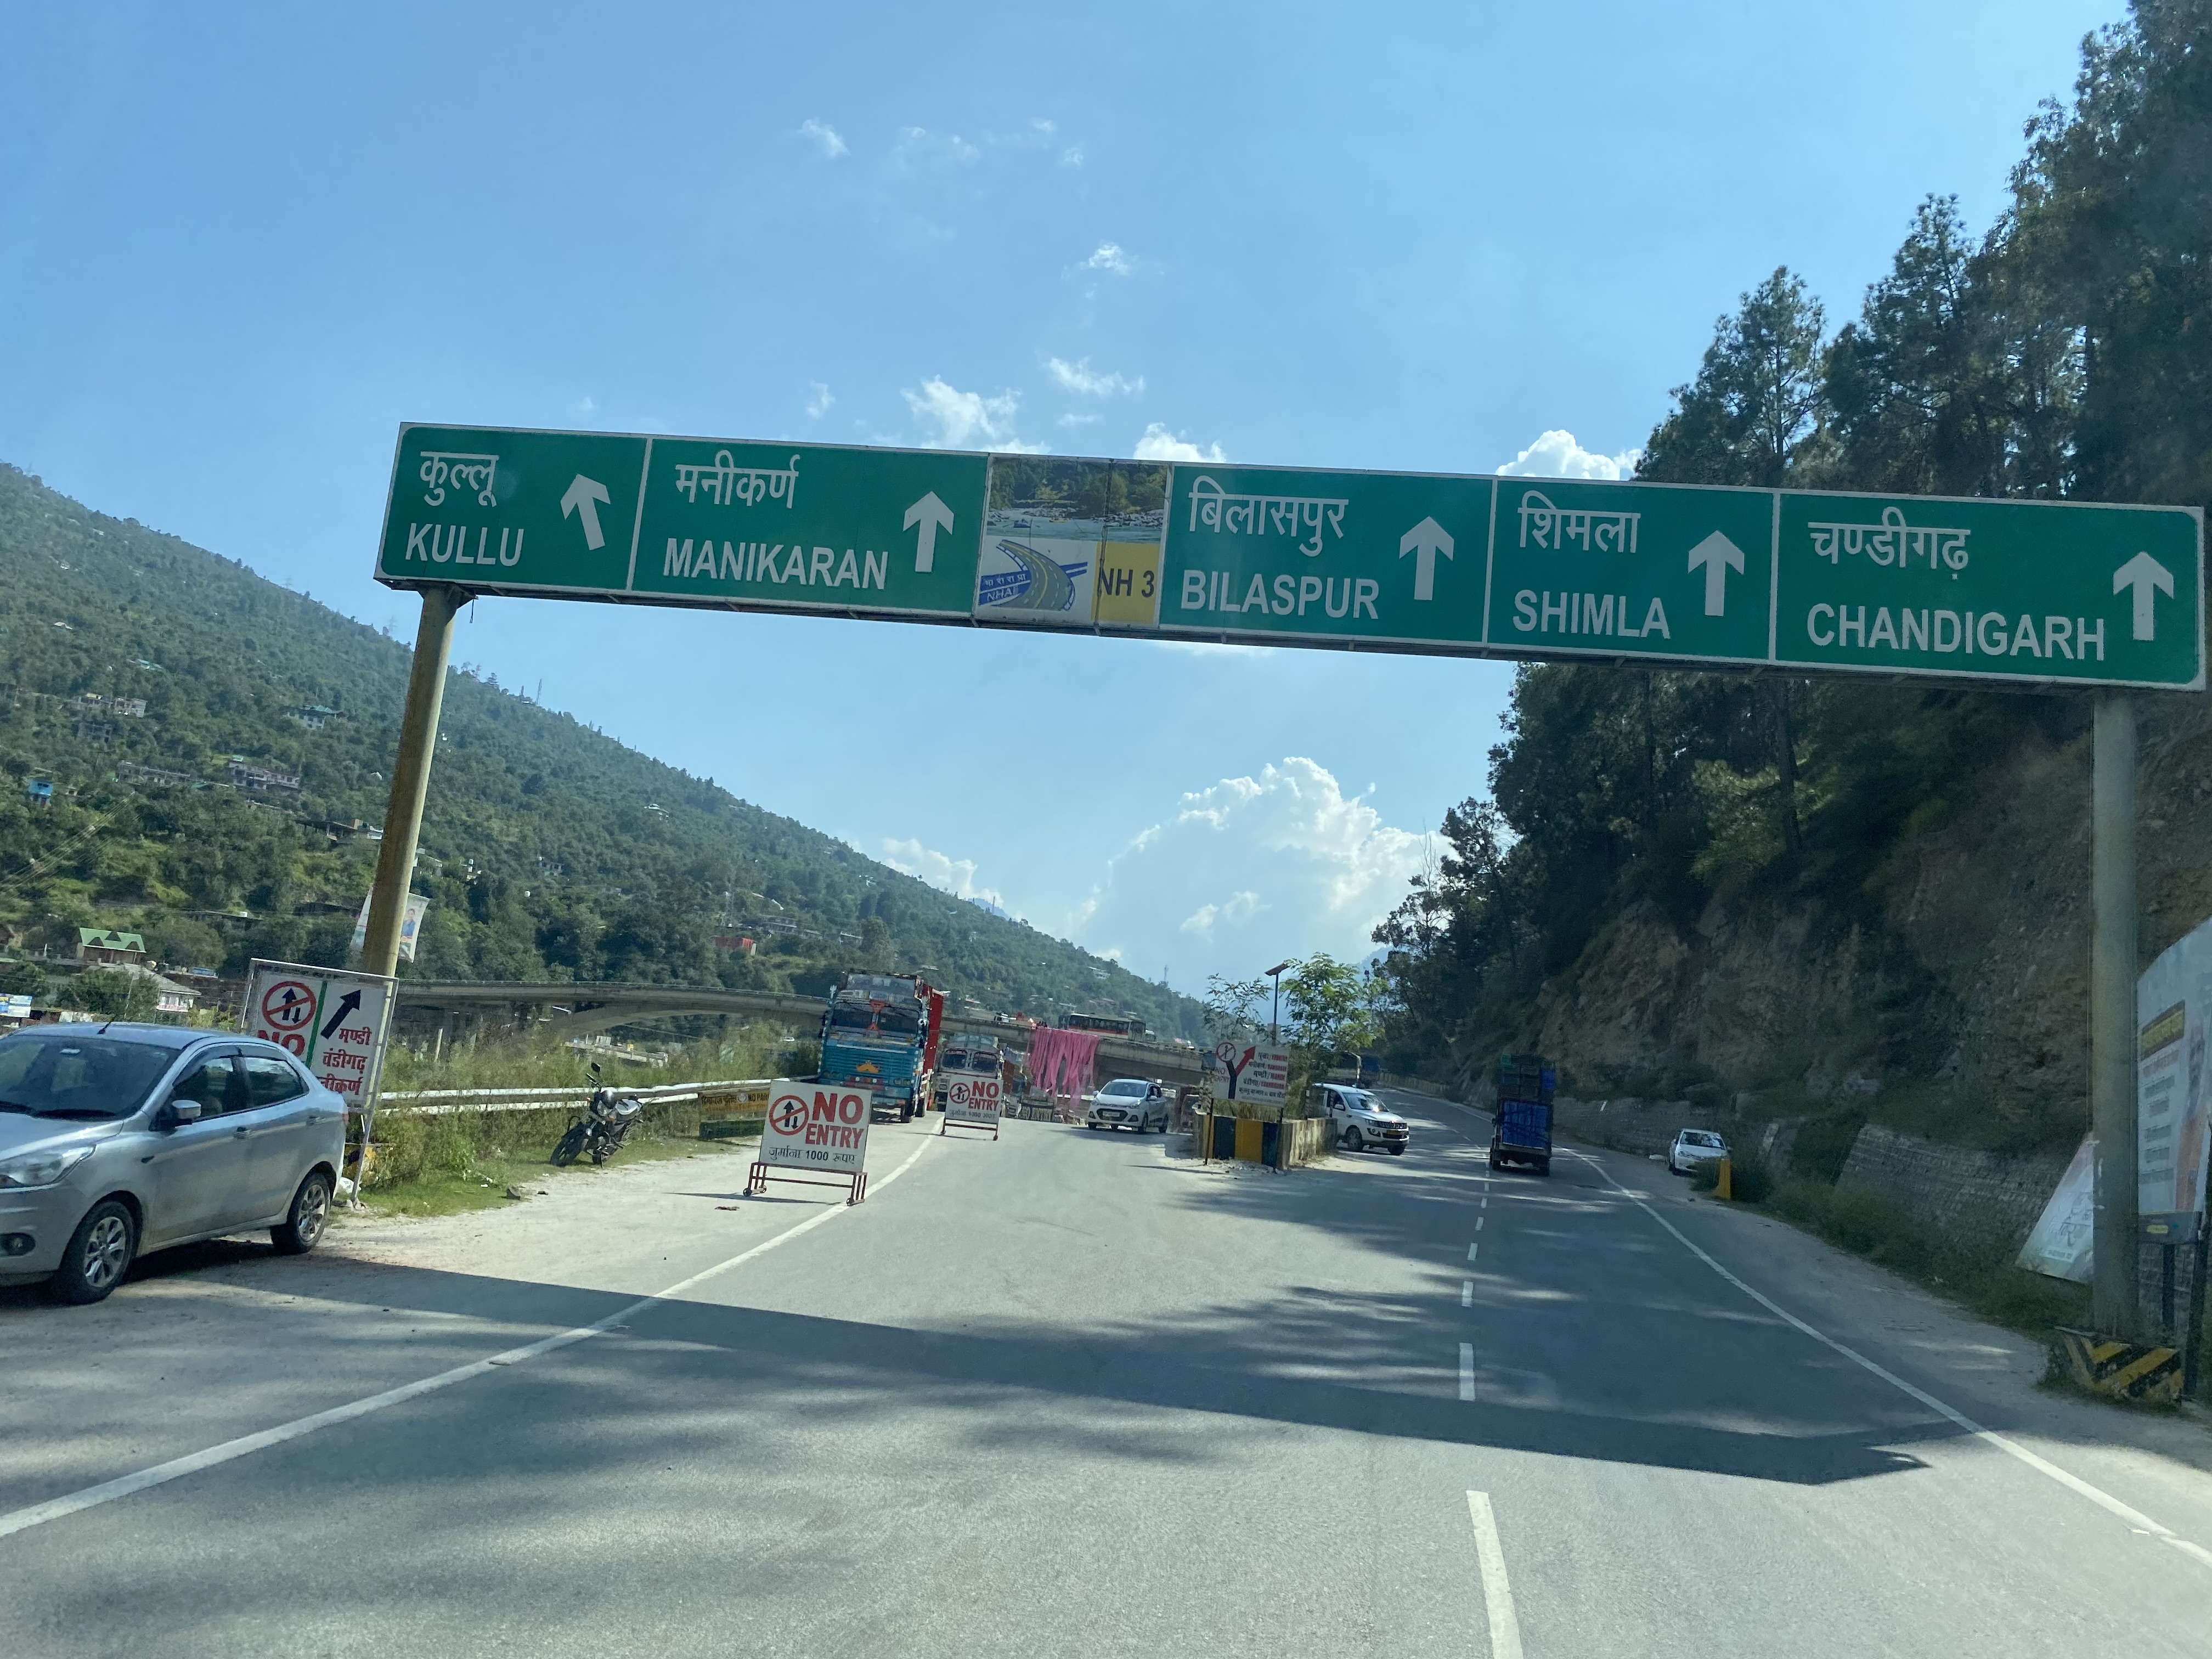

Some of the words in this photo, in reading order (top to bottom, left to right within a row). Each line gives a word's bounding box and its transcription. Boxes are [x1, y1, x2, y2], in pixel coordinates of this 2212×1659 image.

[415, 448, 501, 509] कुल्लू
[671, 444, 805, 513] मनीकर्ण
[1186, 471, 1352, 560] बिलासपुर
[1513, 486, 1643, 557] शिमला
[400, 520, 528, 571] KULLU
[661, 535, 890, 592] MANIKARAN
[1095, 563, 1160, 604] NH3
[1177, 566, 1383, 621] BILASPUR
[1508, 586, 1673, 642] SHIMLA
[1807, 501, 1974, 585] चण्डीगढ़
[1803, 600, 2106, 662] CHANDIGARH
[337, 1021, 376, 1050] मण्डी
[319, 1043, 369, 1077] चंडीगढ़
[810, 1087, 867, 1128] NO
[963, 1095, 1003, 1114] ENTRY
[968, 1077, 1002, 1100] NO
[1248, 1065, 1269, 1081] मण्ड़ी
[765, 1140, 805, 1164] जुर्माना
[804, 1147, 832, 1165] 1000
[803, 1120, 868, 1153] ENTRY
[832, 1149, 856, 1167] रूपए